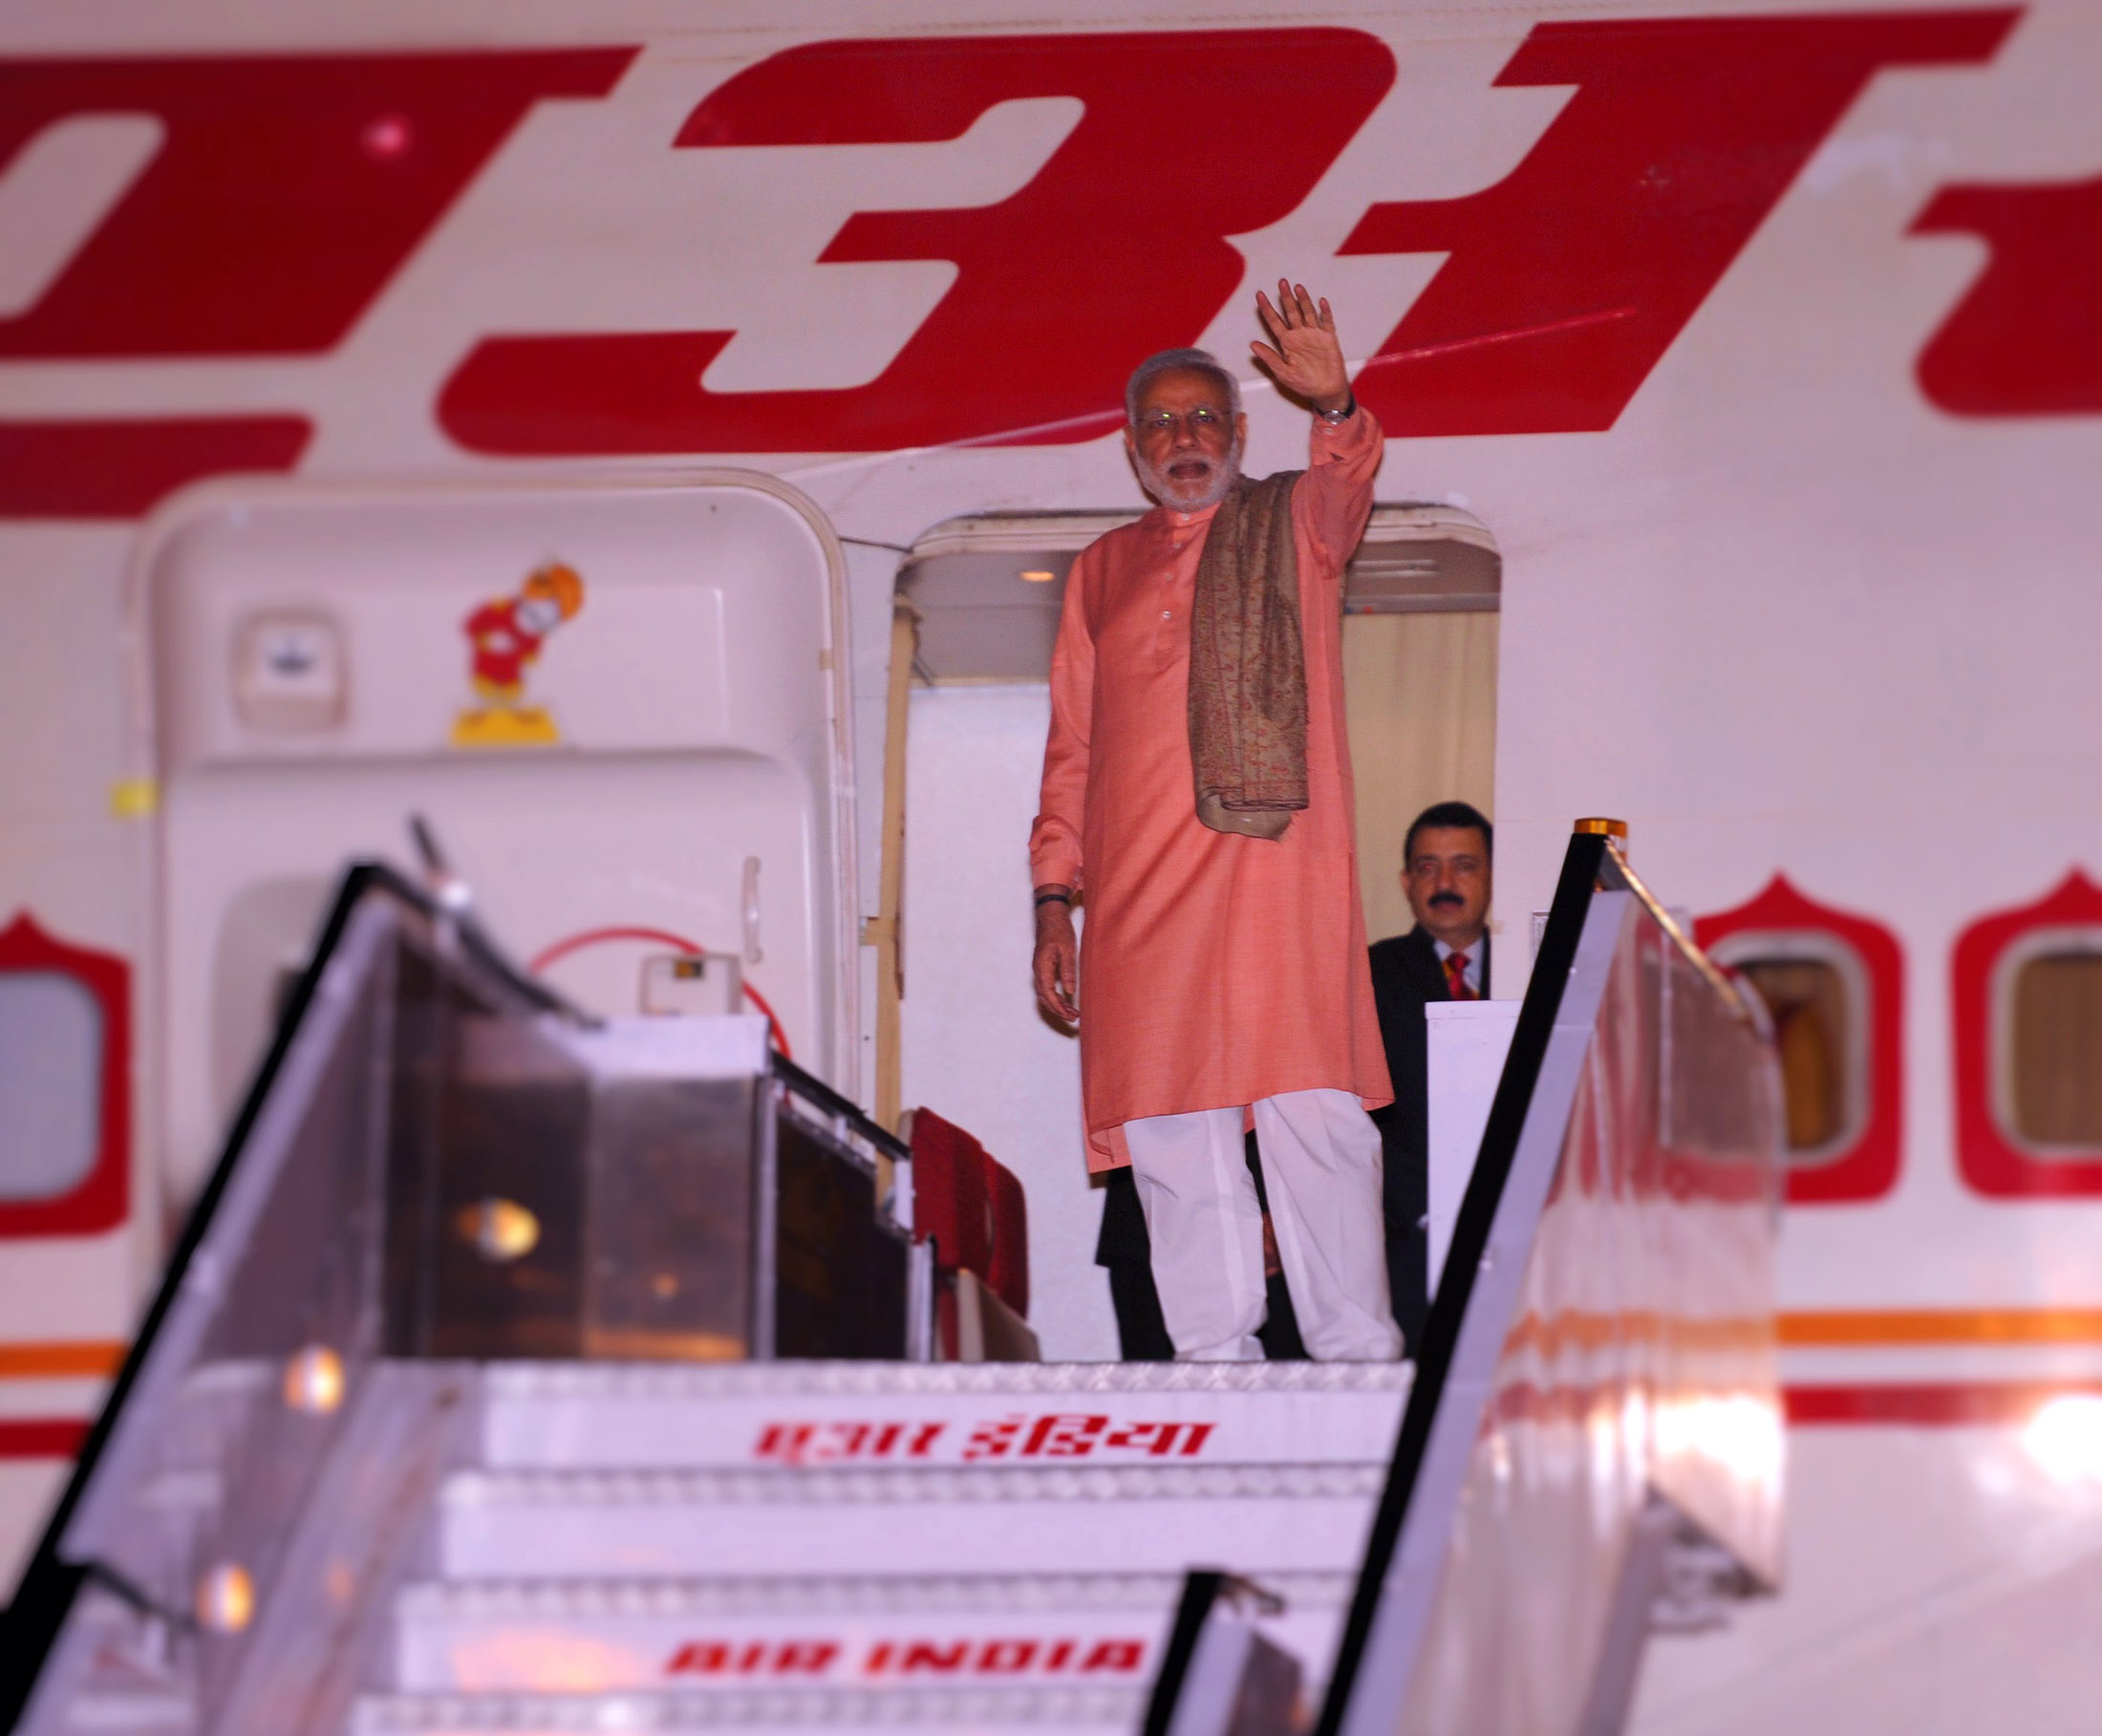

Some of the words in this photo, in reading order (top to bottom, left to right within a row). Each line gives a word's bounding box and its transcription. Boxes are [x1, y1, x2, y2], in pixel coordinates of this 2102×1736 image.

[750, 1422, 943, 1468] एअर
[961, 1407, 1219, 1467] इंडिया
[665, 1640, 838, 1677] AIR
[864, 1638, 1141, 1677] INDIA